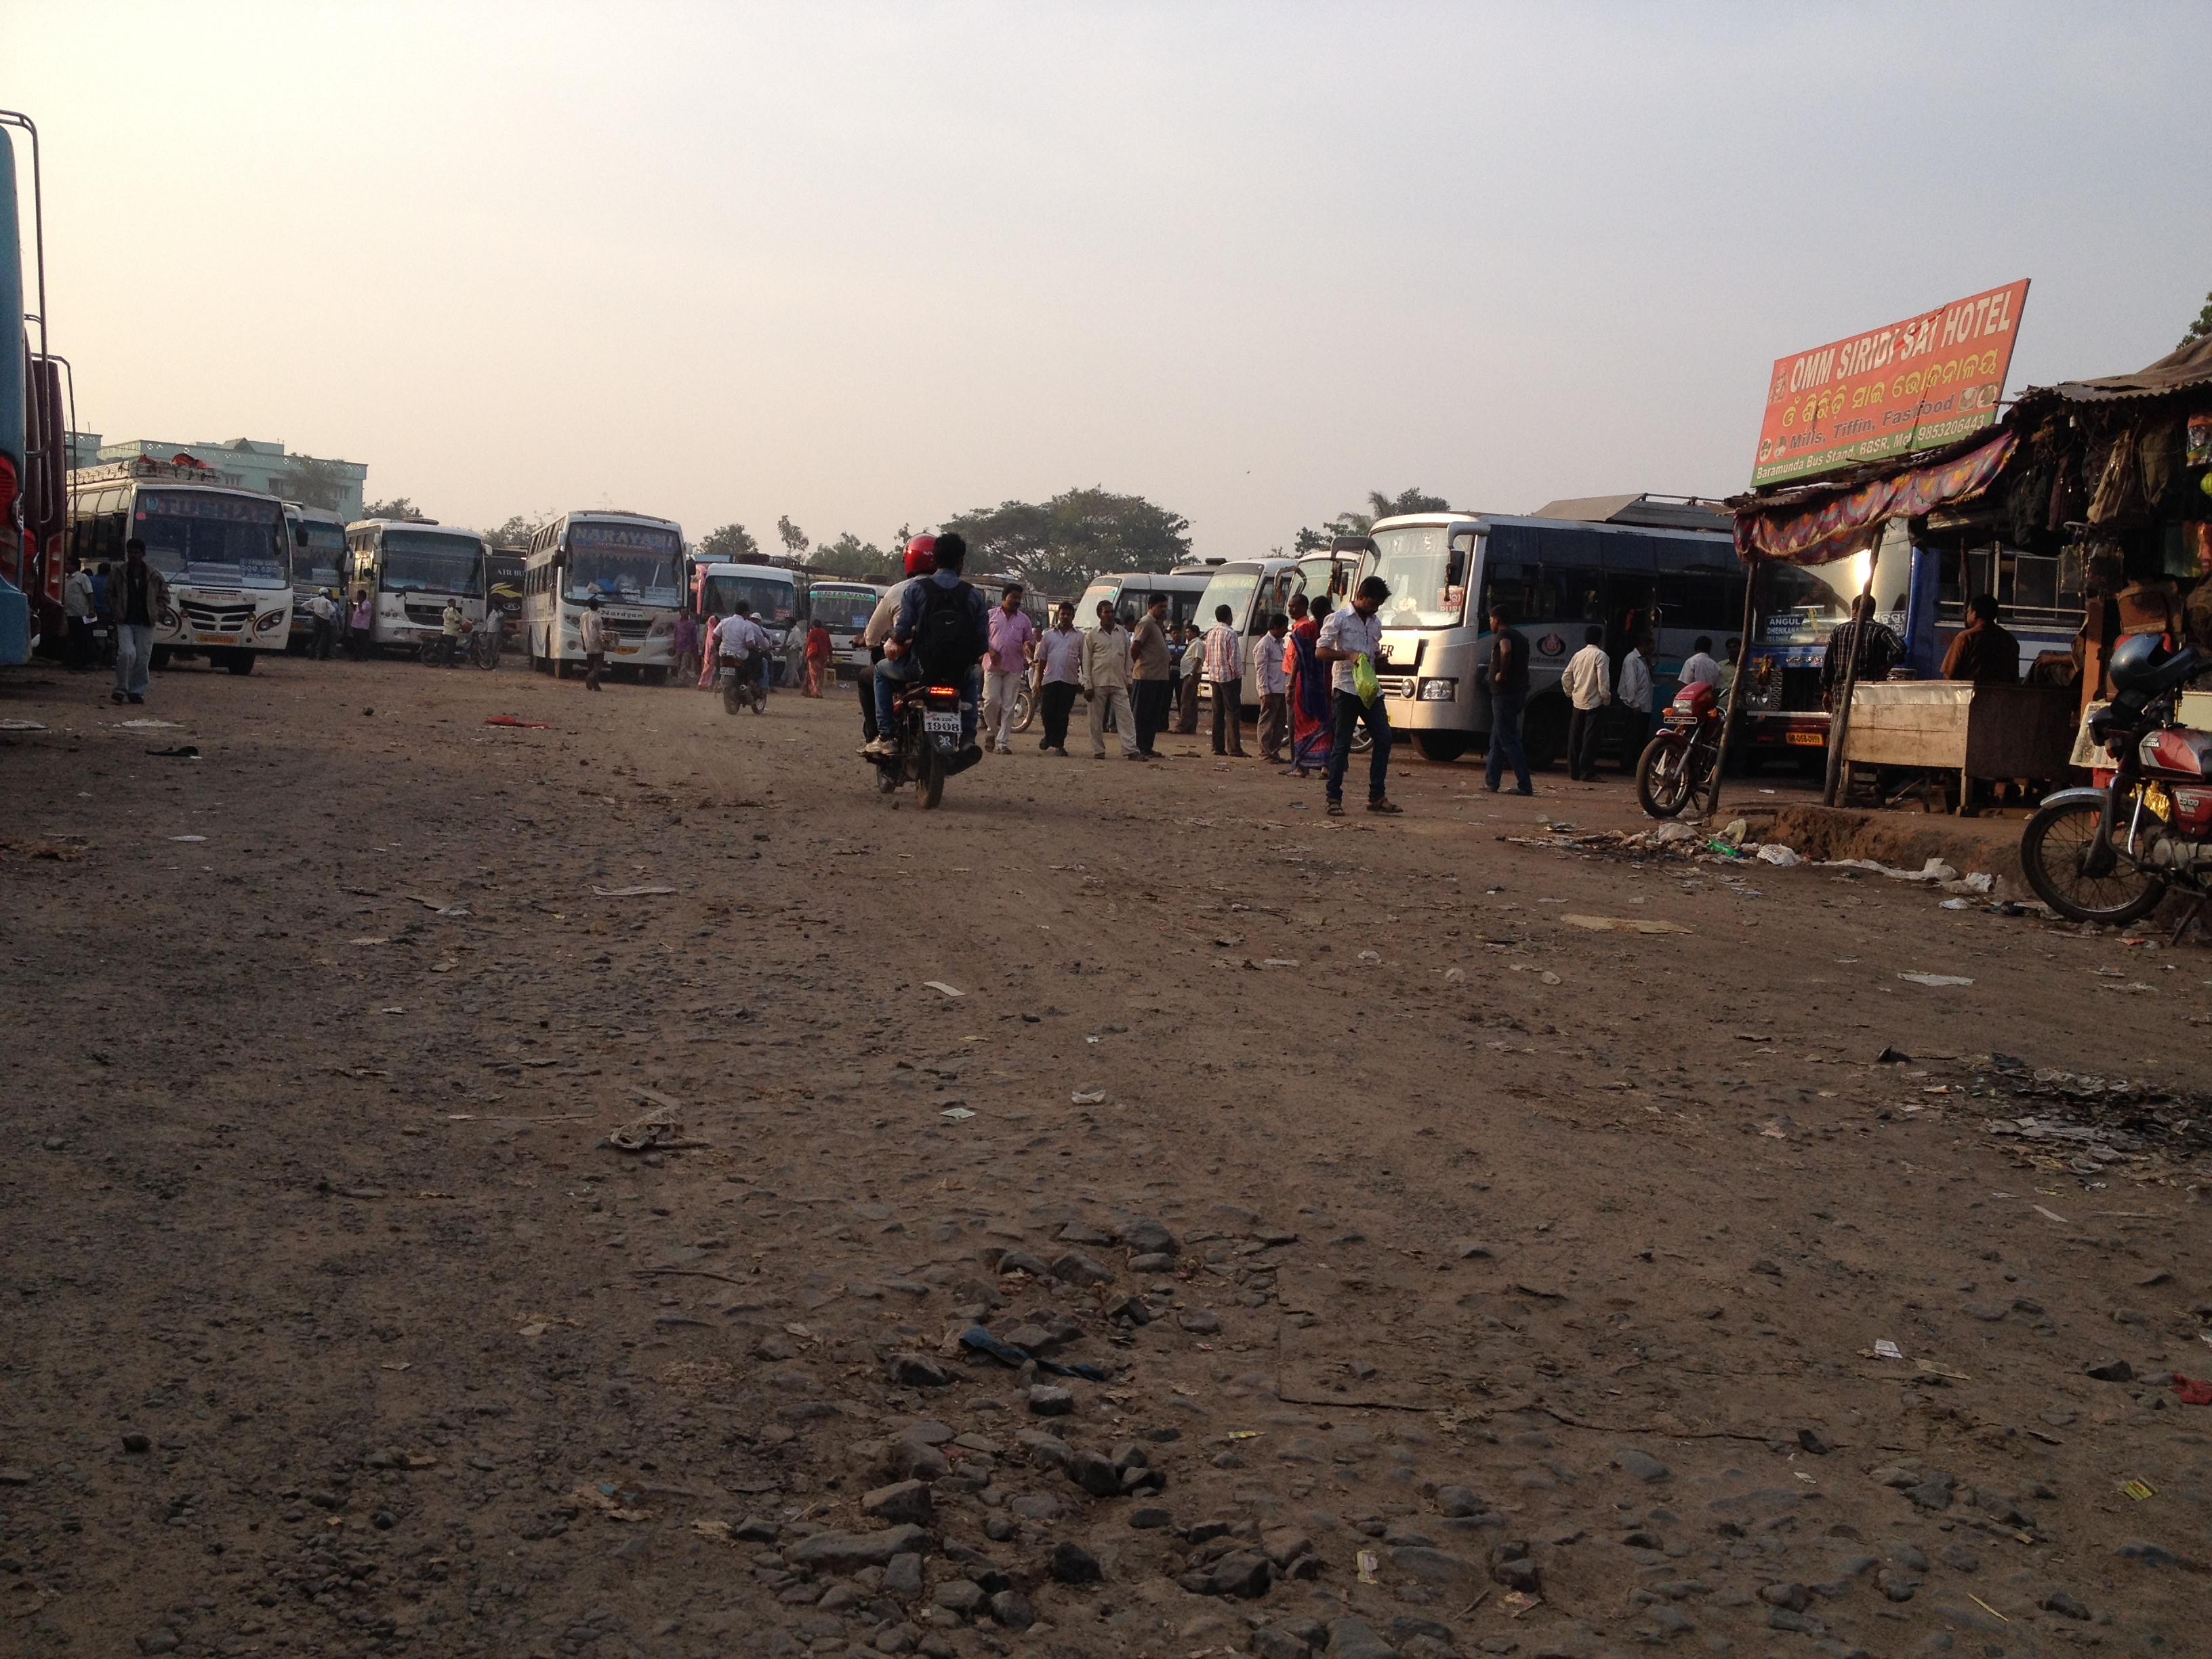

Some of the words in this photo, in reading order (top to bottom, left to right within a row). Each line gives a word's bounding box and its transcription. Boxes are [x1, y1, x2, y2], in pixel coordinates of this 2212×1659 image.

[1940, 287, 2016, 351] HOTEL
[1789, 344, 1839, 401] OMM
[1833, 325, 1904, 386] SIRIDI
[1897, 311, 1944, 369] SAI
[1889, 347, 2000, 401] ଭୋକନାଳୟ
[1754, 457, 1807, 482] Baramunda
[1784, 424, 1828, 452] Mills,
[1802, 449, 1826, 471] Bus
[1779, 380, 1851, 430] ଓଁ ଶିରିଡ଼ି
[1822, 443, 1858, 466] Stand,
[1830, 411, 1875, 443] Tiffin
[1848, 377, 1890, 413] ସାଇ
[1856, 433, 1893, 457] BBSR,
[1891, 429, 1916, 451] Mo
[1879, 392, 1957, 430] Fastfood
[1914, 411, 1989, 445] 9853206443
[159, 491, 279, 524] TUSHAR
[573, 525, 676, 549] NARAYANI